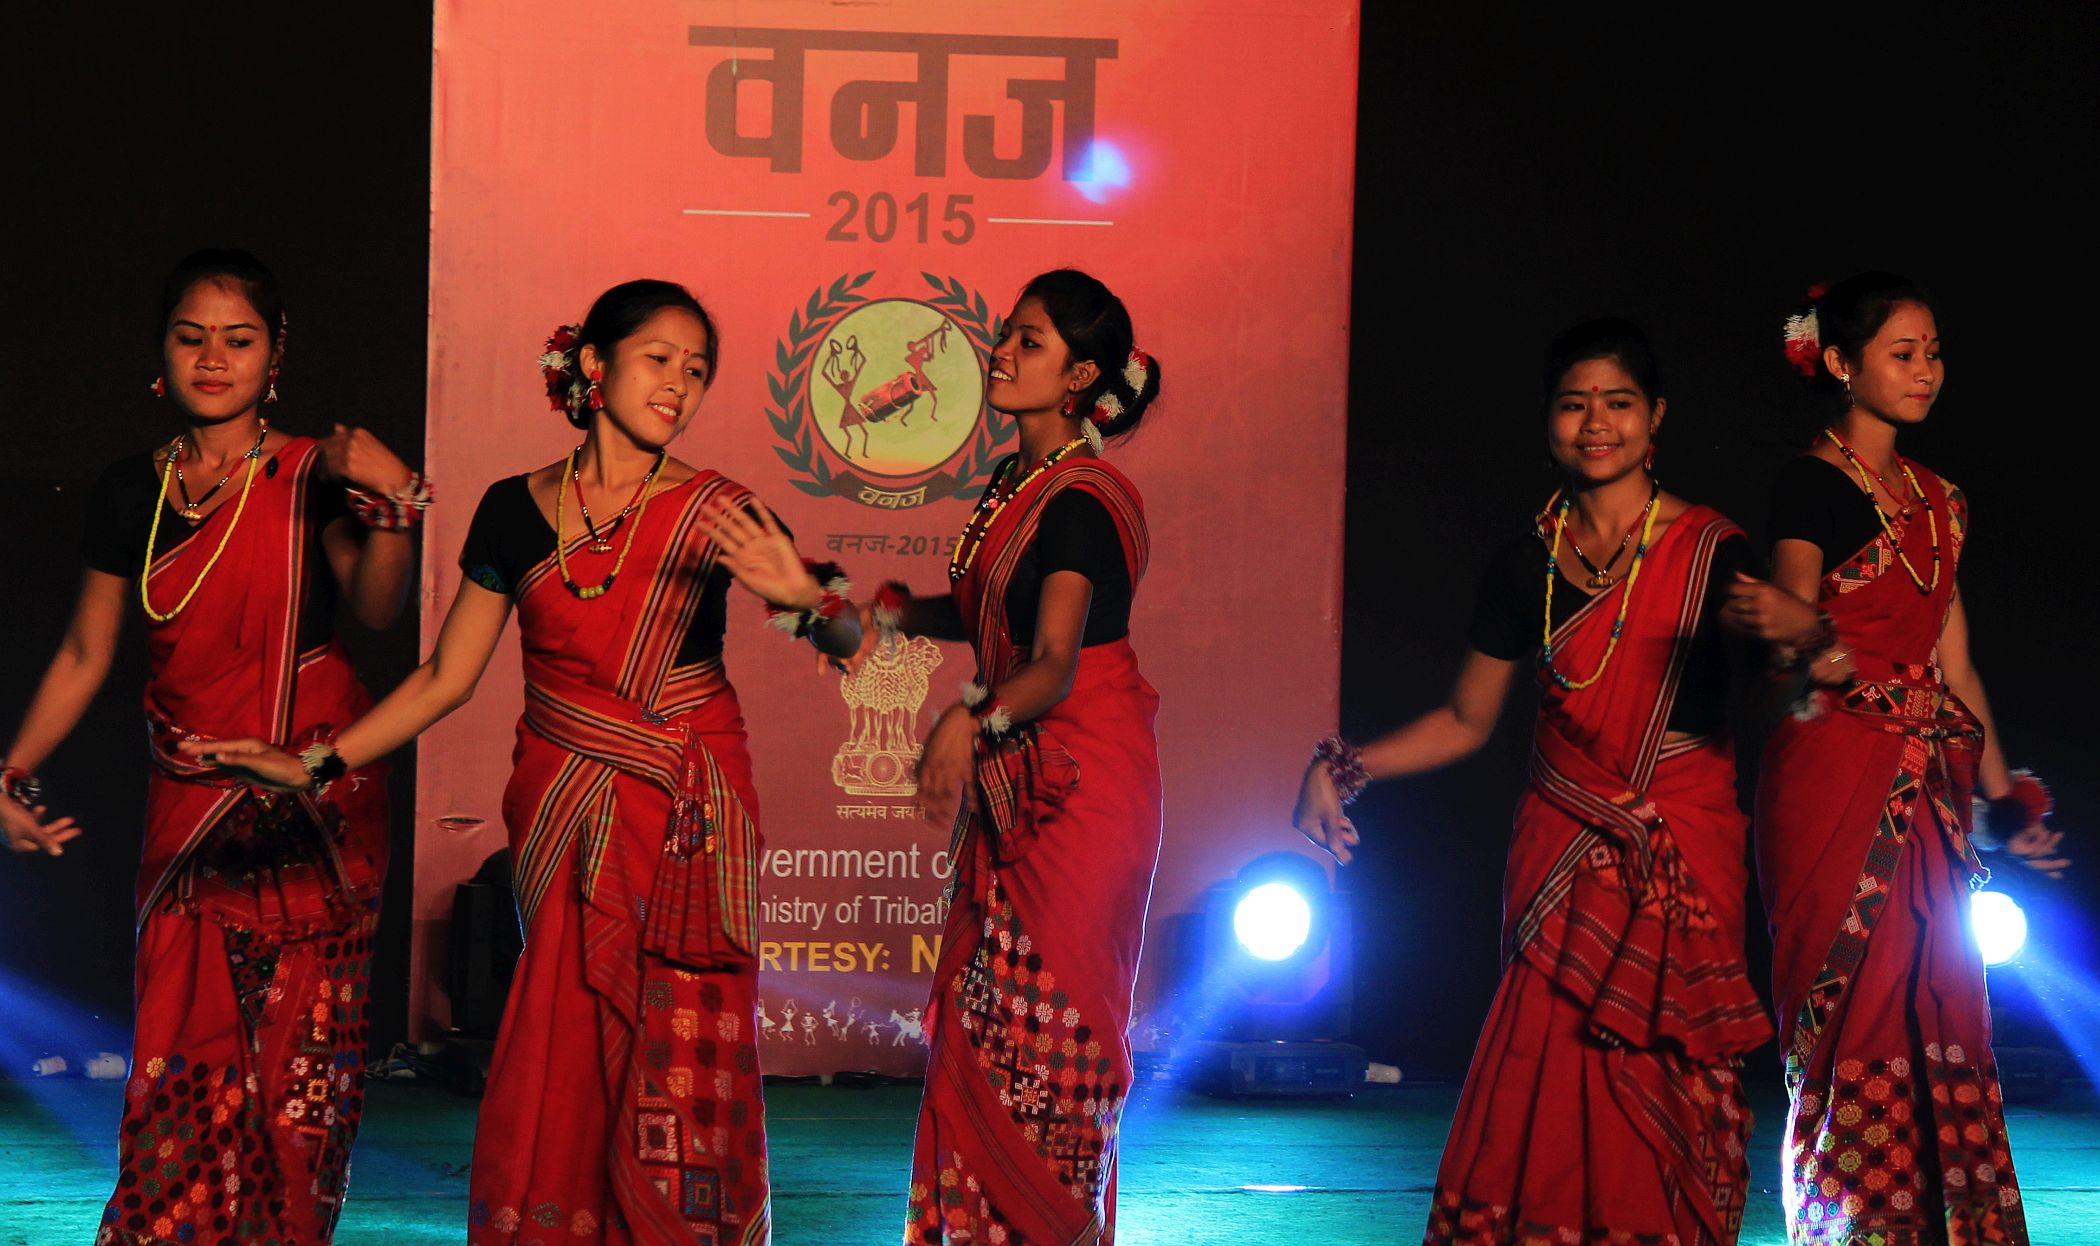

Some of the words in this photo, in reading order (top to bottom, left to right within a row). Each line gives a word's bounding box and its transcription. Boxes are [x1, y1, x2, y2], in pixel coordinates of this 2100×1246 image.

[691, 20, 1127, 185] वनज
[820, 182, 981, 248] 2015
[855, 482, 930, 513] वनज
[821, 529, 891, 555] वनज
[894, 529, 962, 558] 2015
[830, 794, 892, 825] सत्यमेव
[890, 795, 932, 825] ज
[758, 837, 923, 882] vernment
[760, 887, 831, 934] nistry
[830, 891, 864, 927] of
[867, 890, 945, 929] Tribal